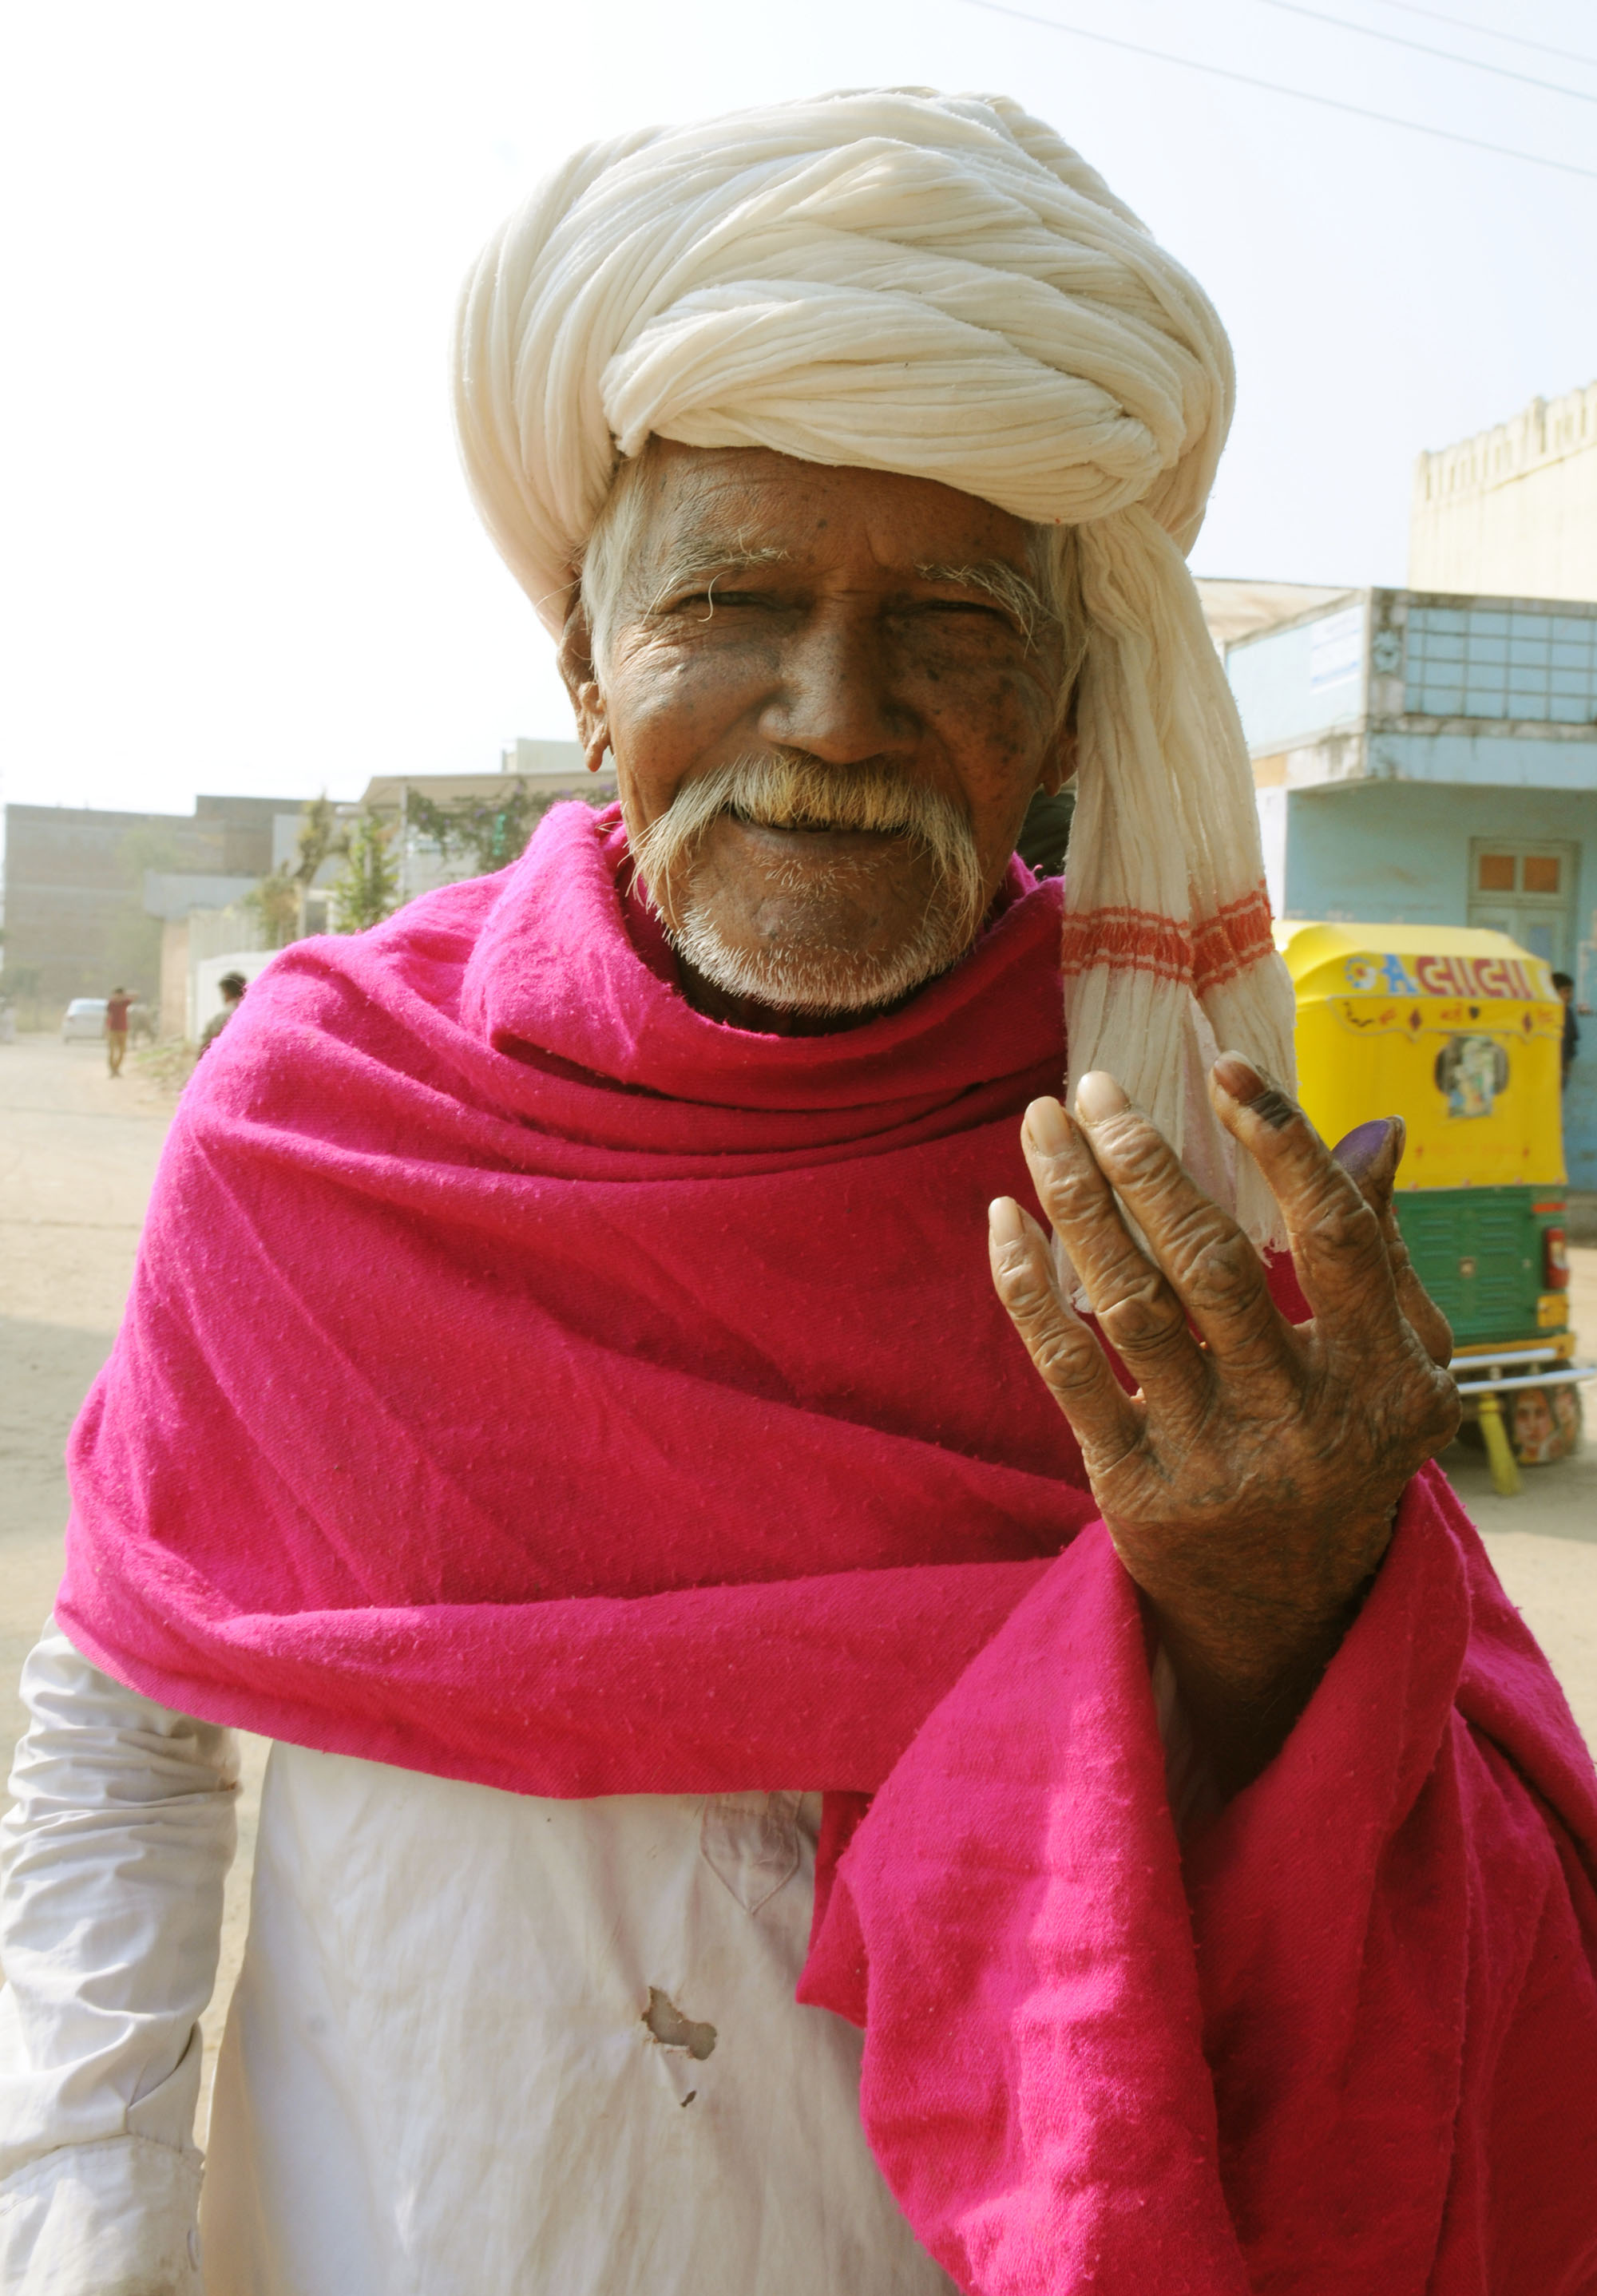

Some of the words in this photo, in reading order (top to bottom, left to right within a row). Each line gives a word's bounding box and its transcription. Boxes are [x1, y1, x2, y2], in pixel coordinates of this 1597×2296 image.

[1372, 953, 1426, 993] A
[1410, 950, 1546, 1004] લાલા